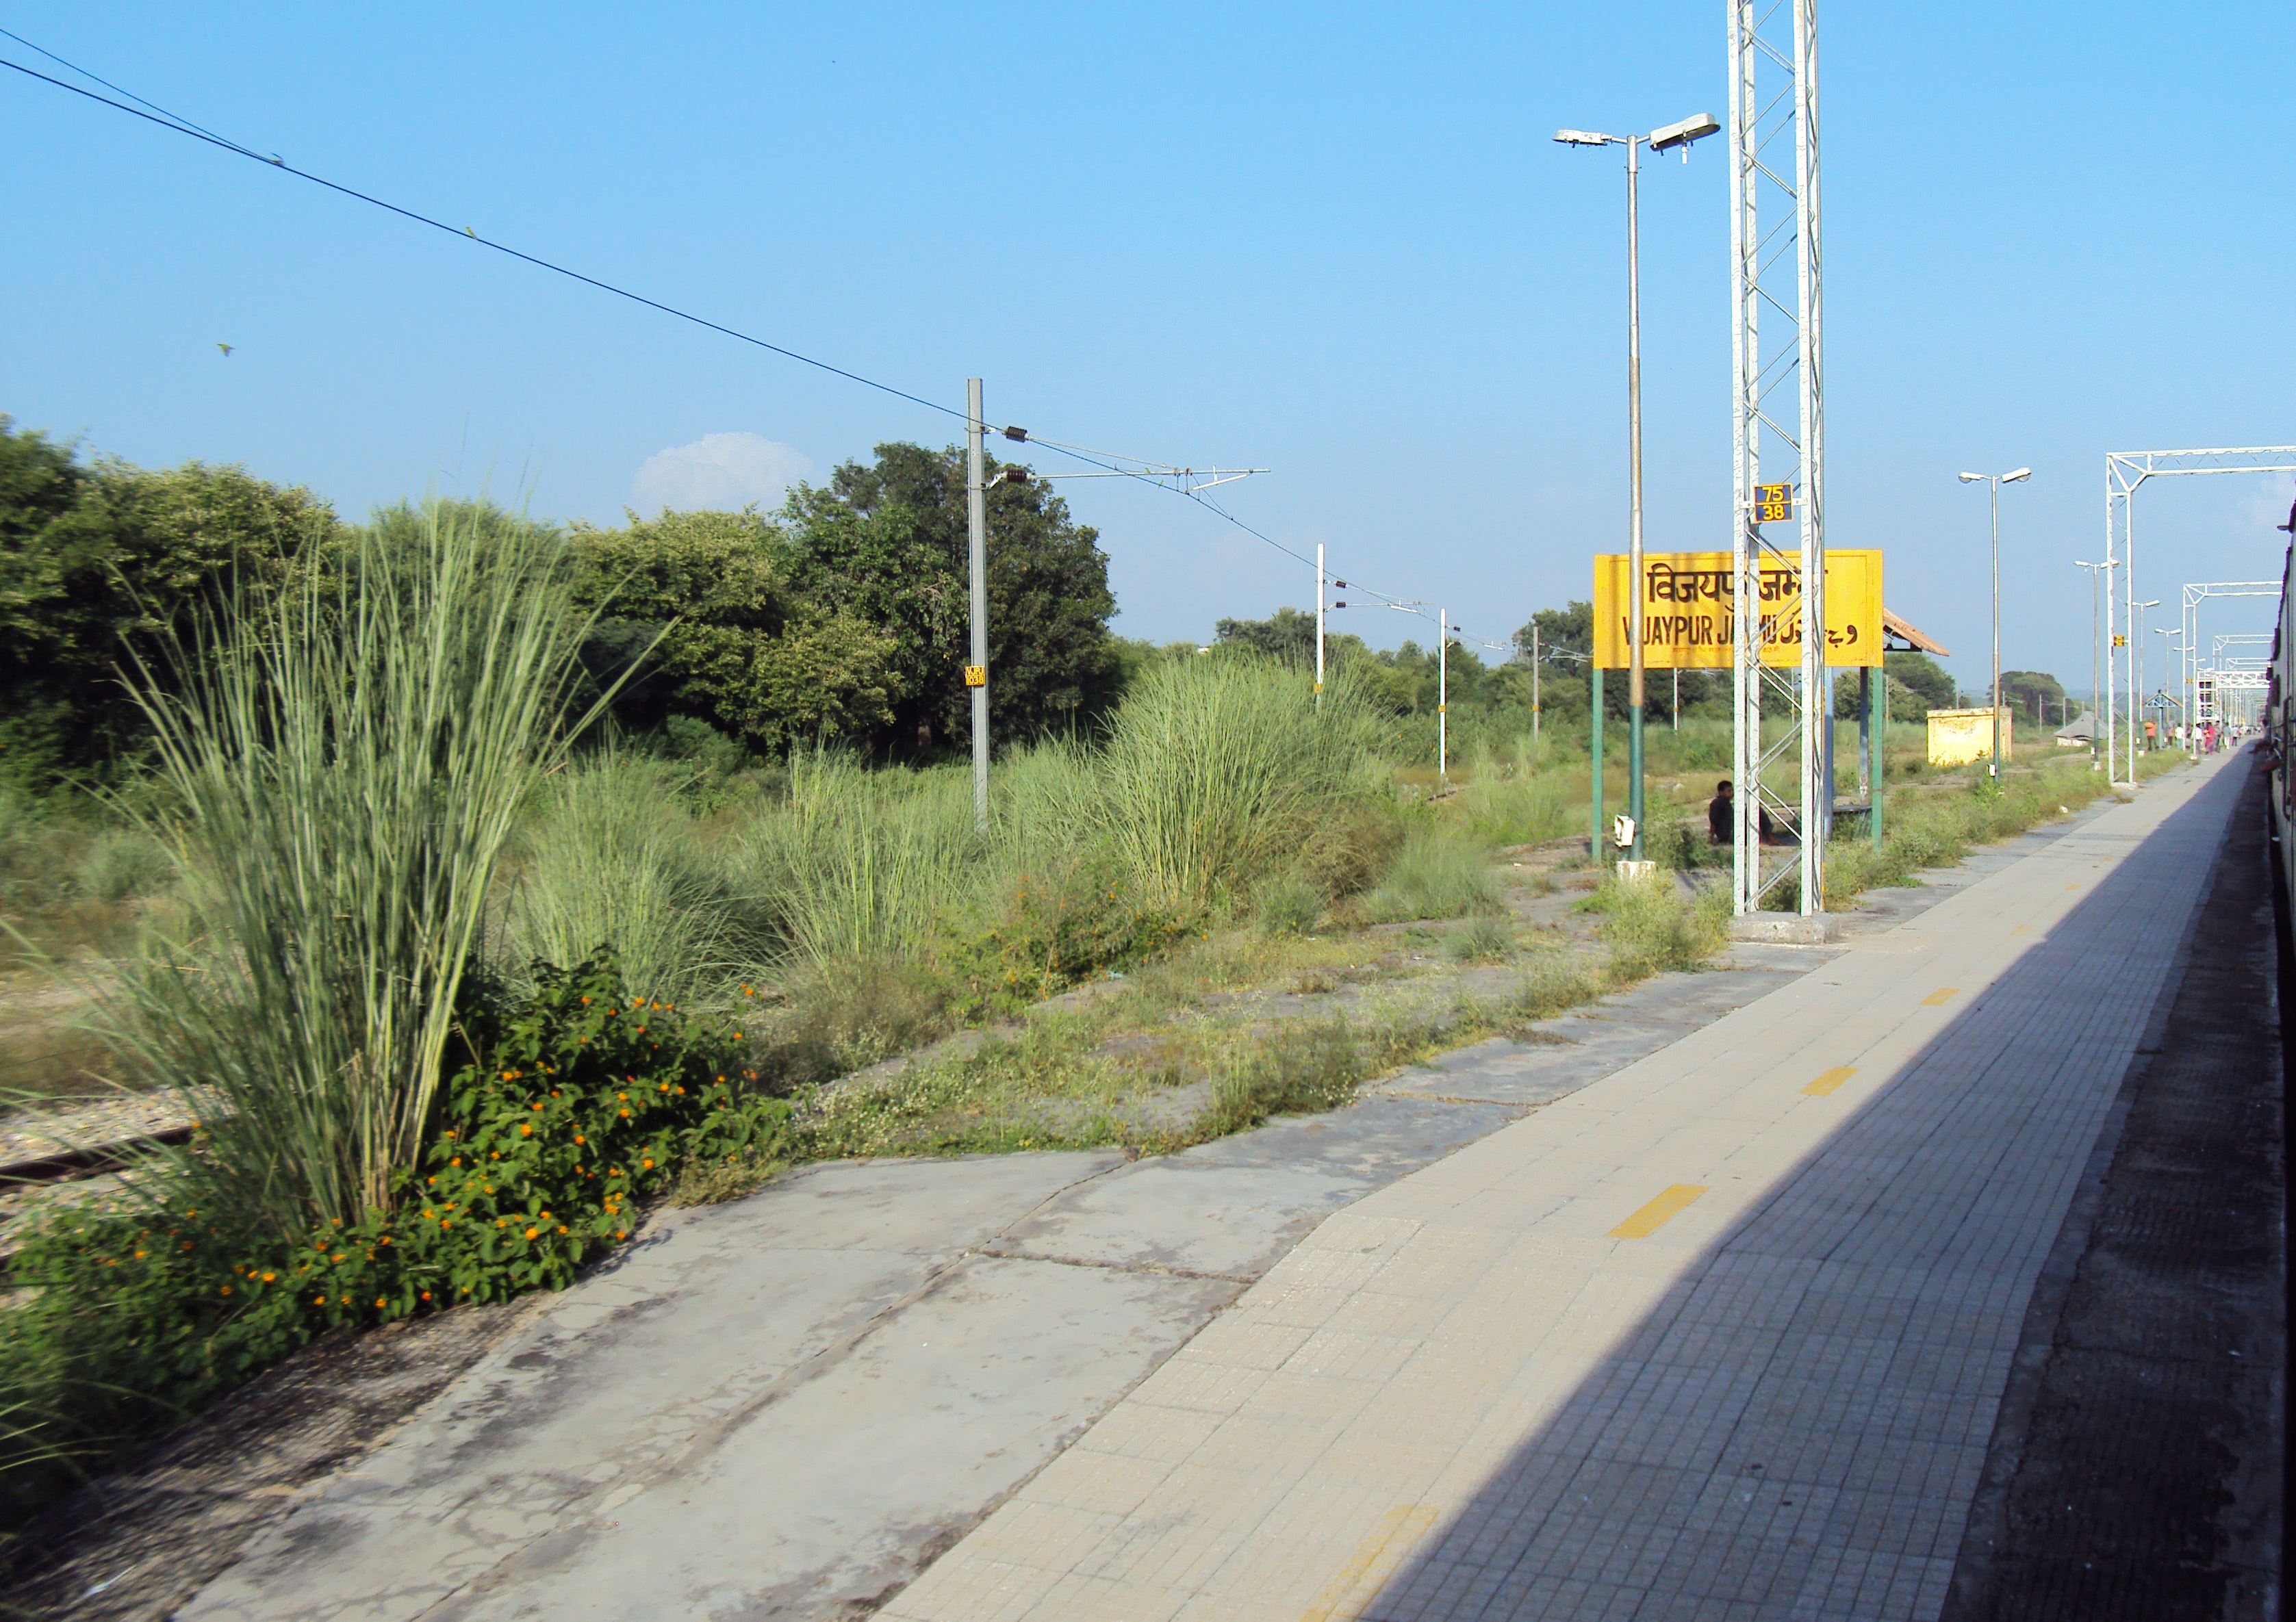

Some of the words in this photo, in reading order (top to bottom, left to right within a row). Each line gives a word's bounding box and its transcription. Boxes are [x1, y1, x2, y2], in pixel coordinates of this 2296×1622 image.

[1644, 560, 1831, 614] विजय
[1620, 613, 1778, 646] VIJAYPURJAMMU